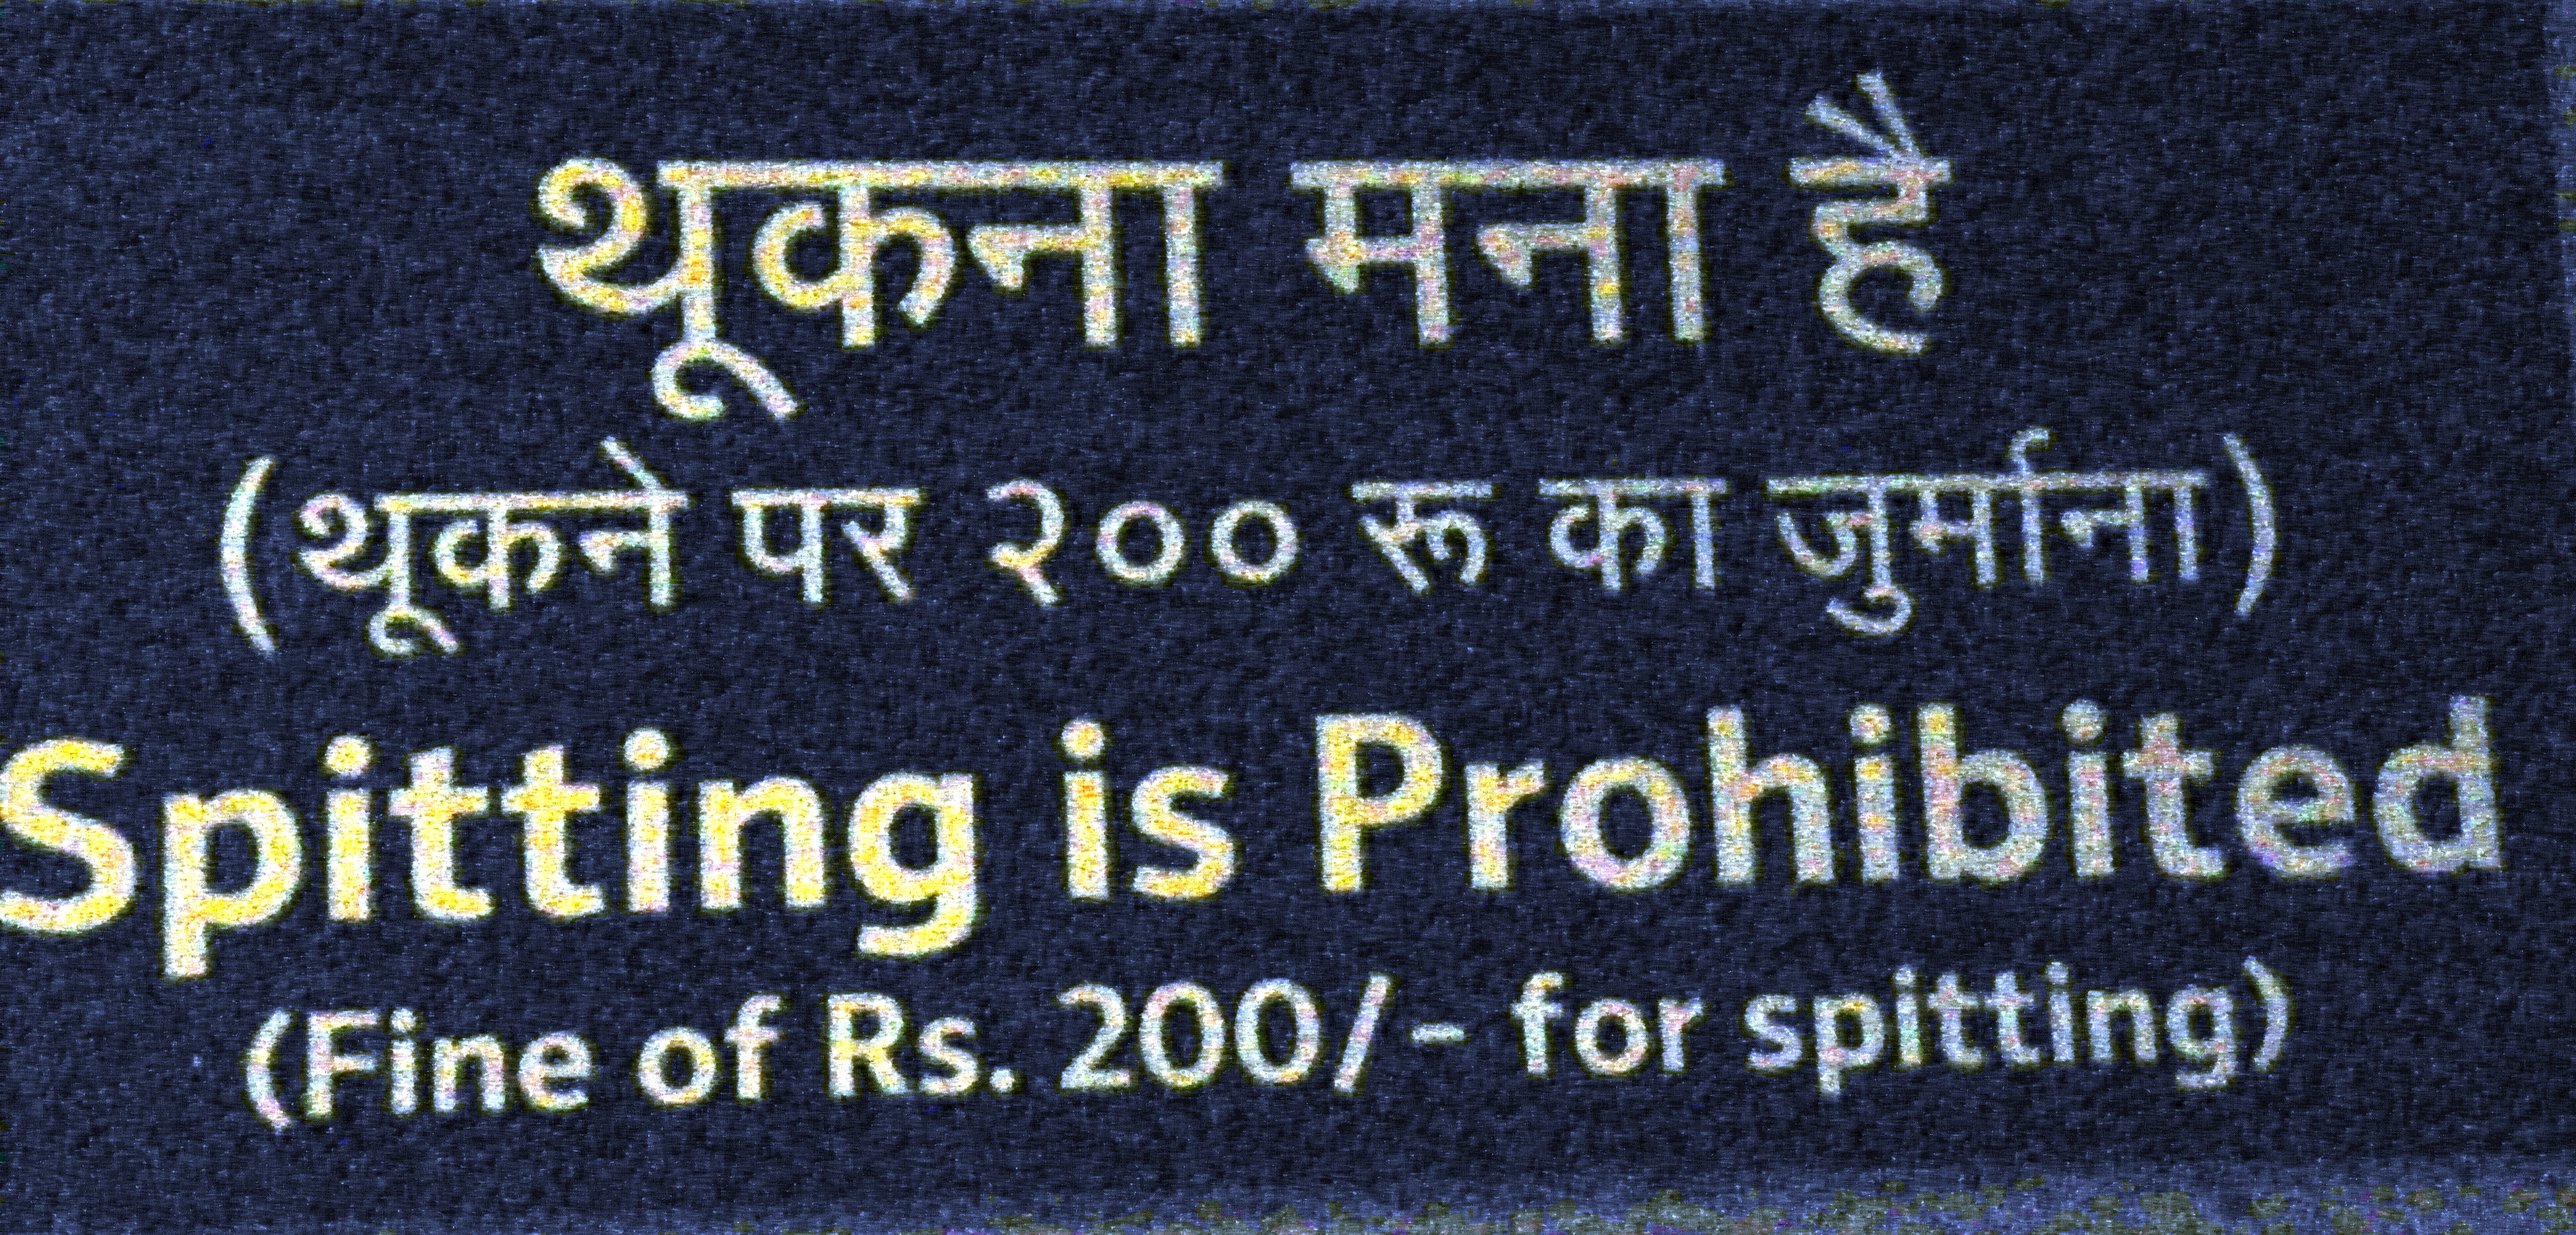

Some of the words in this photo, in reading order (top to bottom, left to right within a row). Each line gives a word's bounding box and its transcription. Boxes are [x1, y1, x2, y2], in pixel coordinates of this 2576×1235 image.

[519, 133, 1233, 431] थूकना
[1283, 147, 1734, 355] मना
[1776, 66, 1962, 363] है
[284, 428, 701, 666] थूकने
[725, 476, 935, 610] पर
[969, 465, 1311, 617] २००
[1339, 474, 1507, 614] रू
[1526, 466, 1728, 608] का
[1763, 416, 2213, 646] जुर्माना
[3, 717, 986, 983] Spitting
[1036, 705, 1246, 915] is
[1310, 689, 2511, 906] Prohibited
[245, 1000, 593, 1129] (Fine
[623, 979, 786, 1116] of
[805, 980, 996, 1116] Rs
[1046, 962, 1388, 1102] 200/
[1501, 958, 1716, 1089] for
[1740, 956, 2247, 1106] spitting